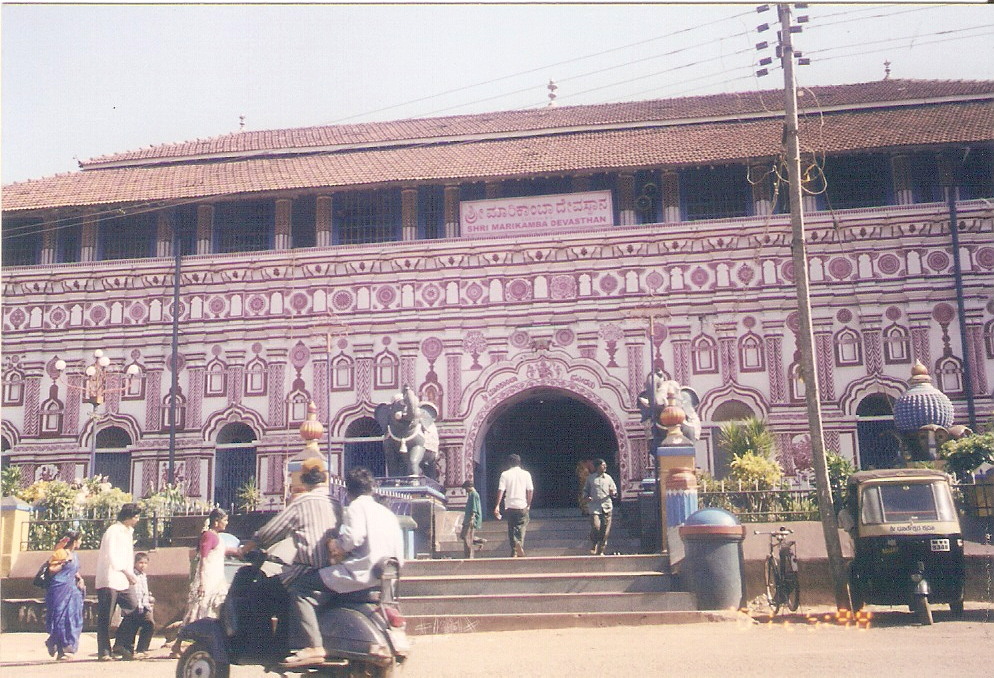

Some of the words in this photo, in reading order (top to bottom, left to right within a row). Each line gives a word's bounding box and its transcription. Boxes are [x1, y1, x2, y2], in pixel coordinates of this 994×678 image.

[456, 219, 492, 238] SHRI
[458, 197, 557, 227] ಶ್ರೀಮಾಂಕಾಂಬಾ
[486, 215, 551, 234] MARIKAMBA
[544, 210, 609, 231] DEVASTHAN
[546, 190, 612, 217] ದೇವಸಾನ